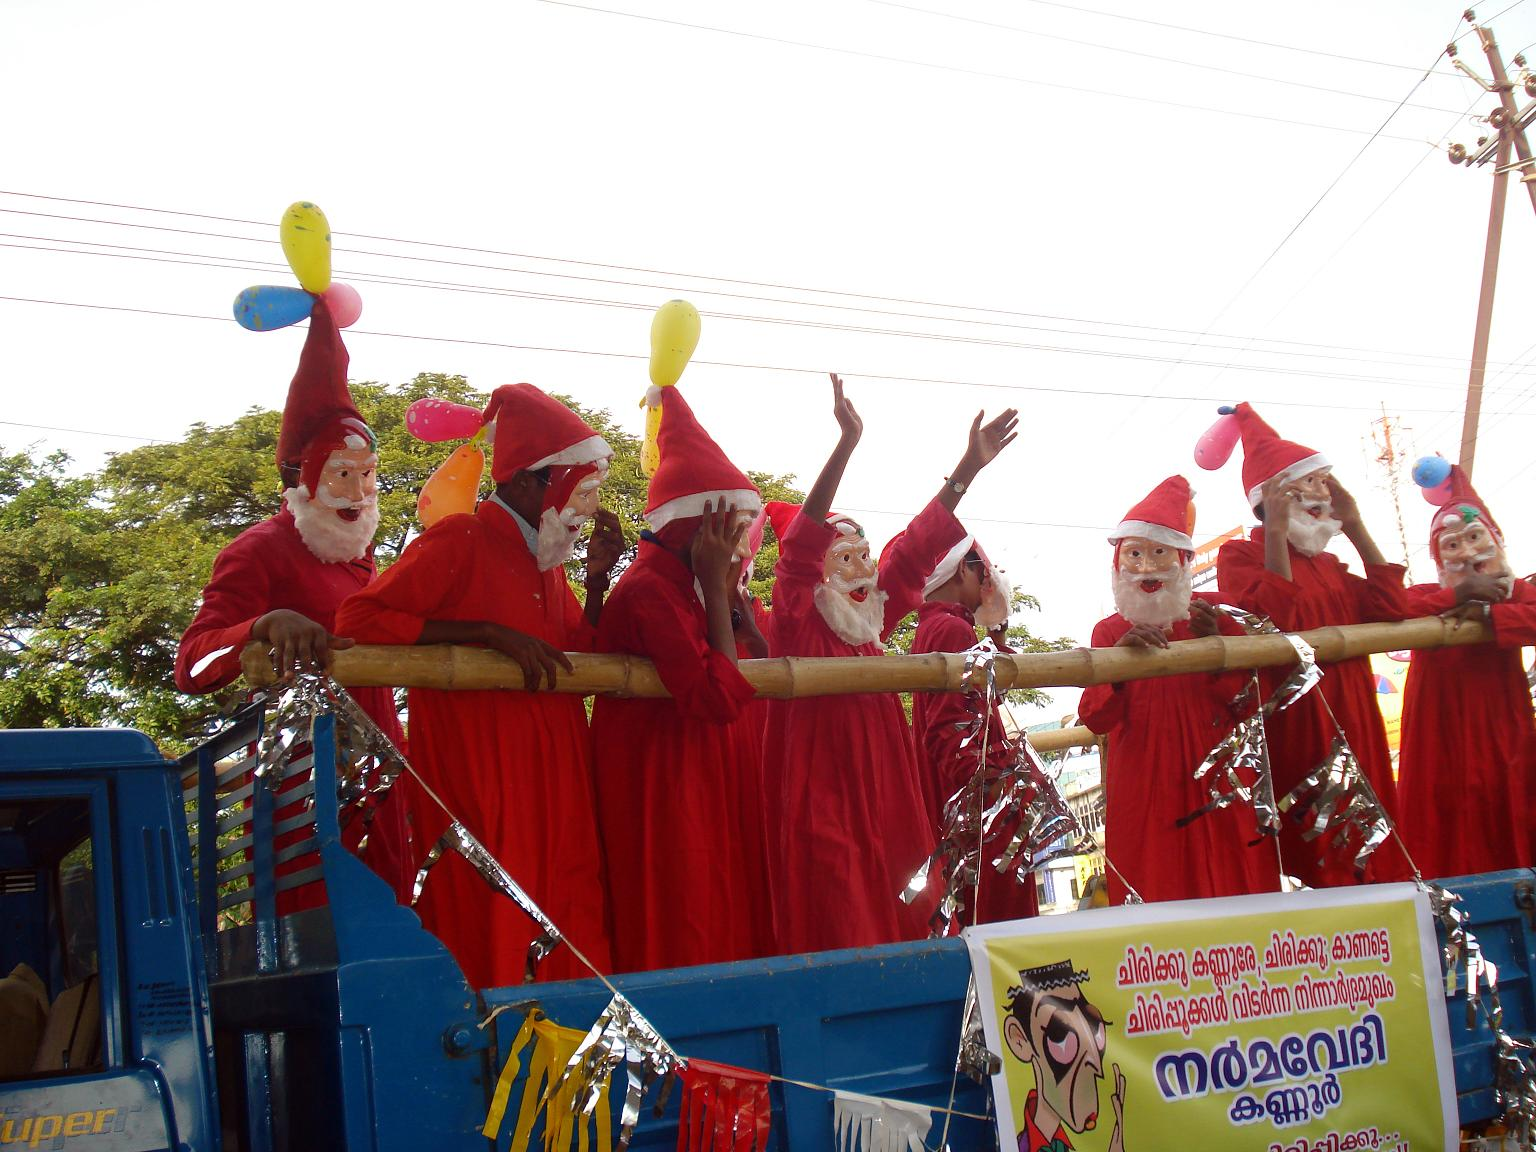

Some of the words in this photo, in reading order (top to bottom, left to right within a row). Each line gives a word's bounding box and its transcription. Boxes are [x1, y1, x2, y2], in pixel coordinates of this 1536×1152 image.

[1113, 936, 1196, 993] ചിരിക്കൂ
[1185, 933, 1263, 987] കണ്ണൂരേ
[1258, 921, 1333, 974] ചിരിക്കു.
[1325, 926, 1395, 968] കാണട്ടെ
[1119, 985, 1233, 1040] ചിരിപ്പൂക്കൾ
[1225, 978, 1296, 1024] വിടർന്ന
[1291, 969, 1398, 1014] നിന്നാർദ്രമുഖം
[1153, 1006, 1389, 1104] നർമവേദി
[1225, 1065, 1348, 1129] കണ്ണൂർ
[1, 1102, 139, 1151] uper
[1264, 1125, 1384, 1150] ക്കു.